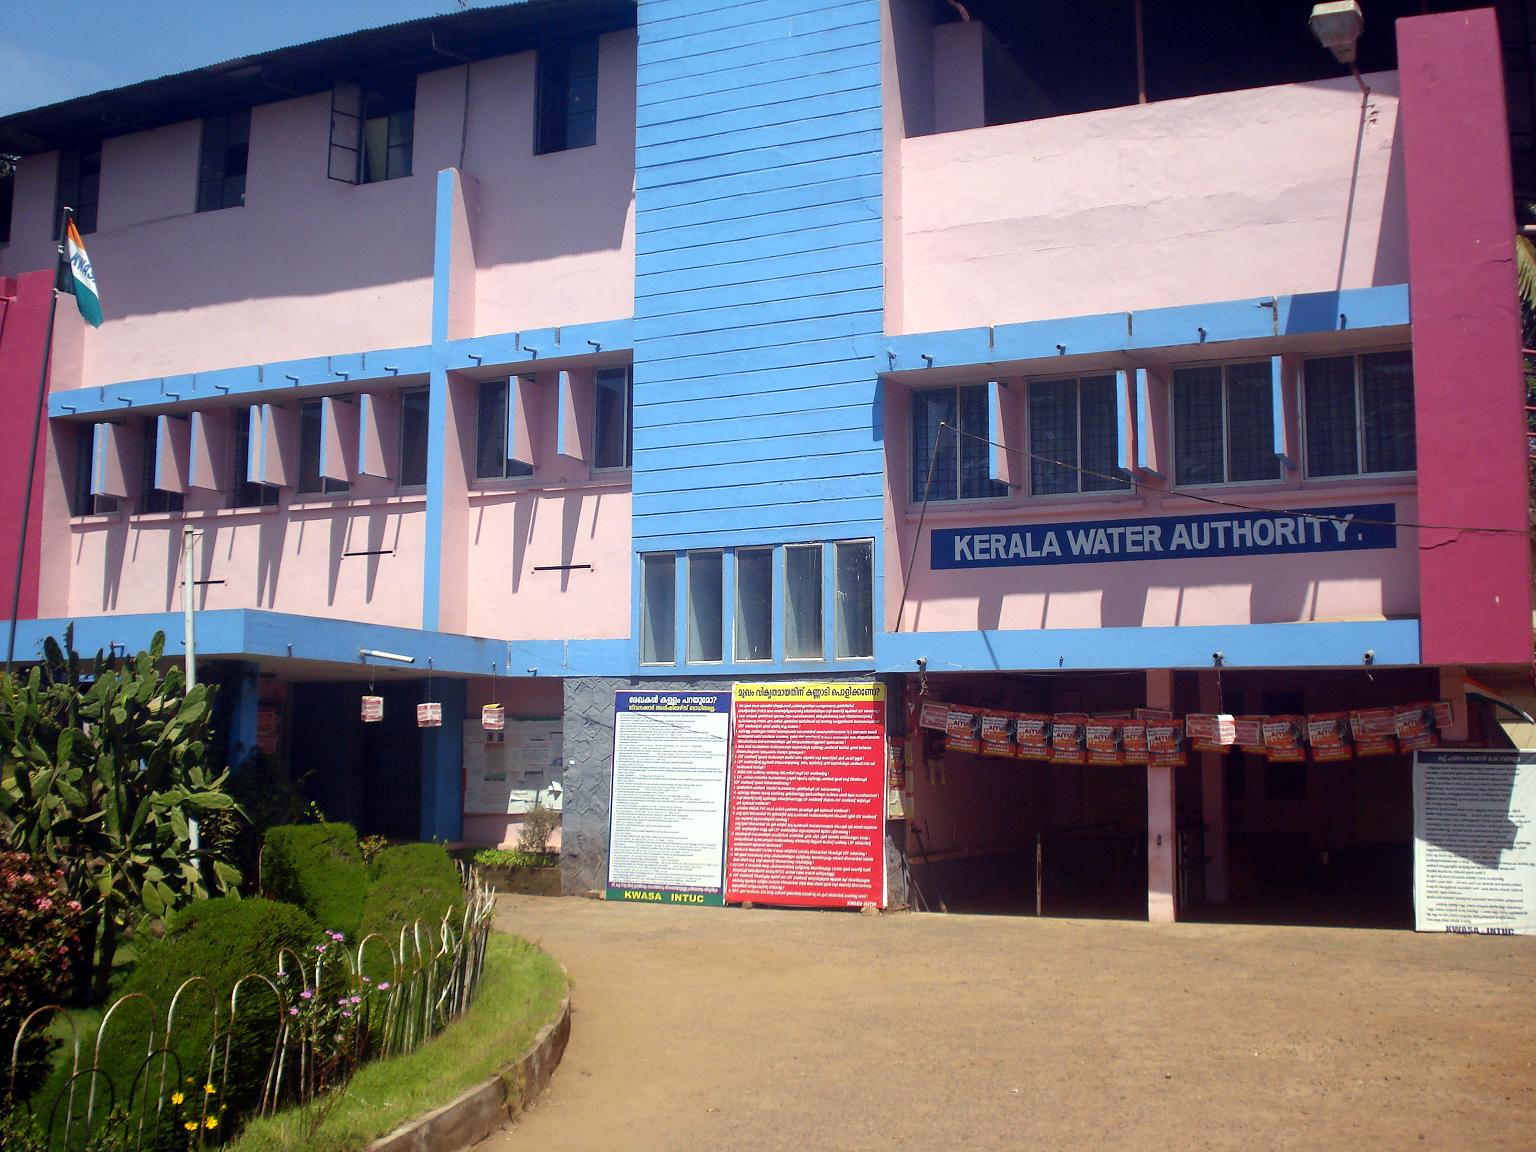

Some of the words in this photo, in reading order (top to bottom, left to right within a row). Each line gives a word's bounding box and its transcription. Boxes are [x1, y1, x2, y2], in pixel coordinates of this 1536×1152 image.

[952, 527, 1065, 565] KERALA
[1061, 524, 1167, 557] WATER
[1166, 511, 1359, 555] AUTHORITY
[657, 693, 685, 710] കള്ളം
[680, 689, 719, 707] പറയുമോ?
[753, 683, 808, 702] വികൃതമായതിന്
[799, 681, 834, 704] കണ്ണാടി
[828, 681, 884, 703] പൊളിക്കണോ?